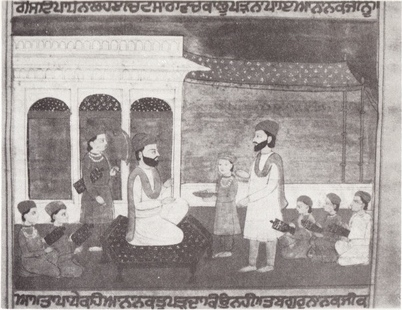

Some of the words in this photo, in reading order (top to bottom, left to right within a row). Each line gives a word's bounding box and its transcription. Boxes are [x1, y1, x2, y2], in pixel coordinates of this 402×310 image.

[12, 285, 371, 310] ਆ॥ਤਾਪਾਧੇਕਹਿਆਨਾਨਕਝਪੜਦਾਕਿਉਨਹੀ॥ਤਬਗੁਰੁਨਾਨਕਸੀਕ